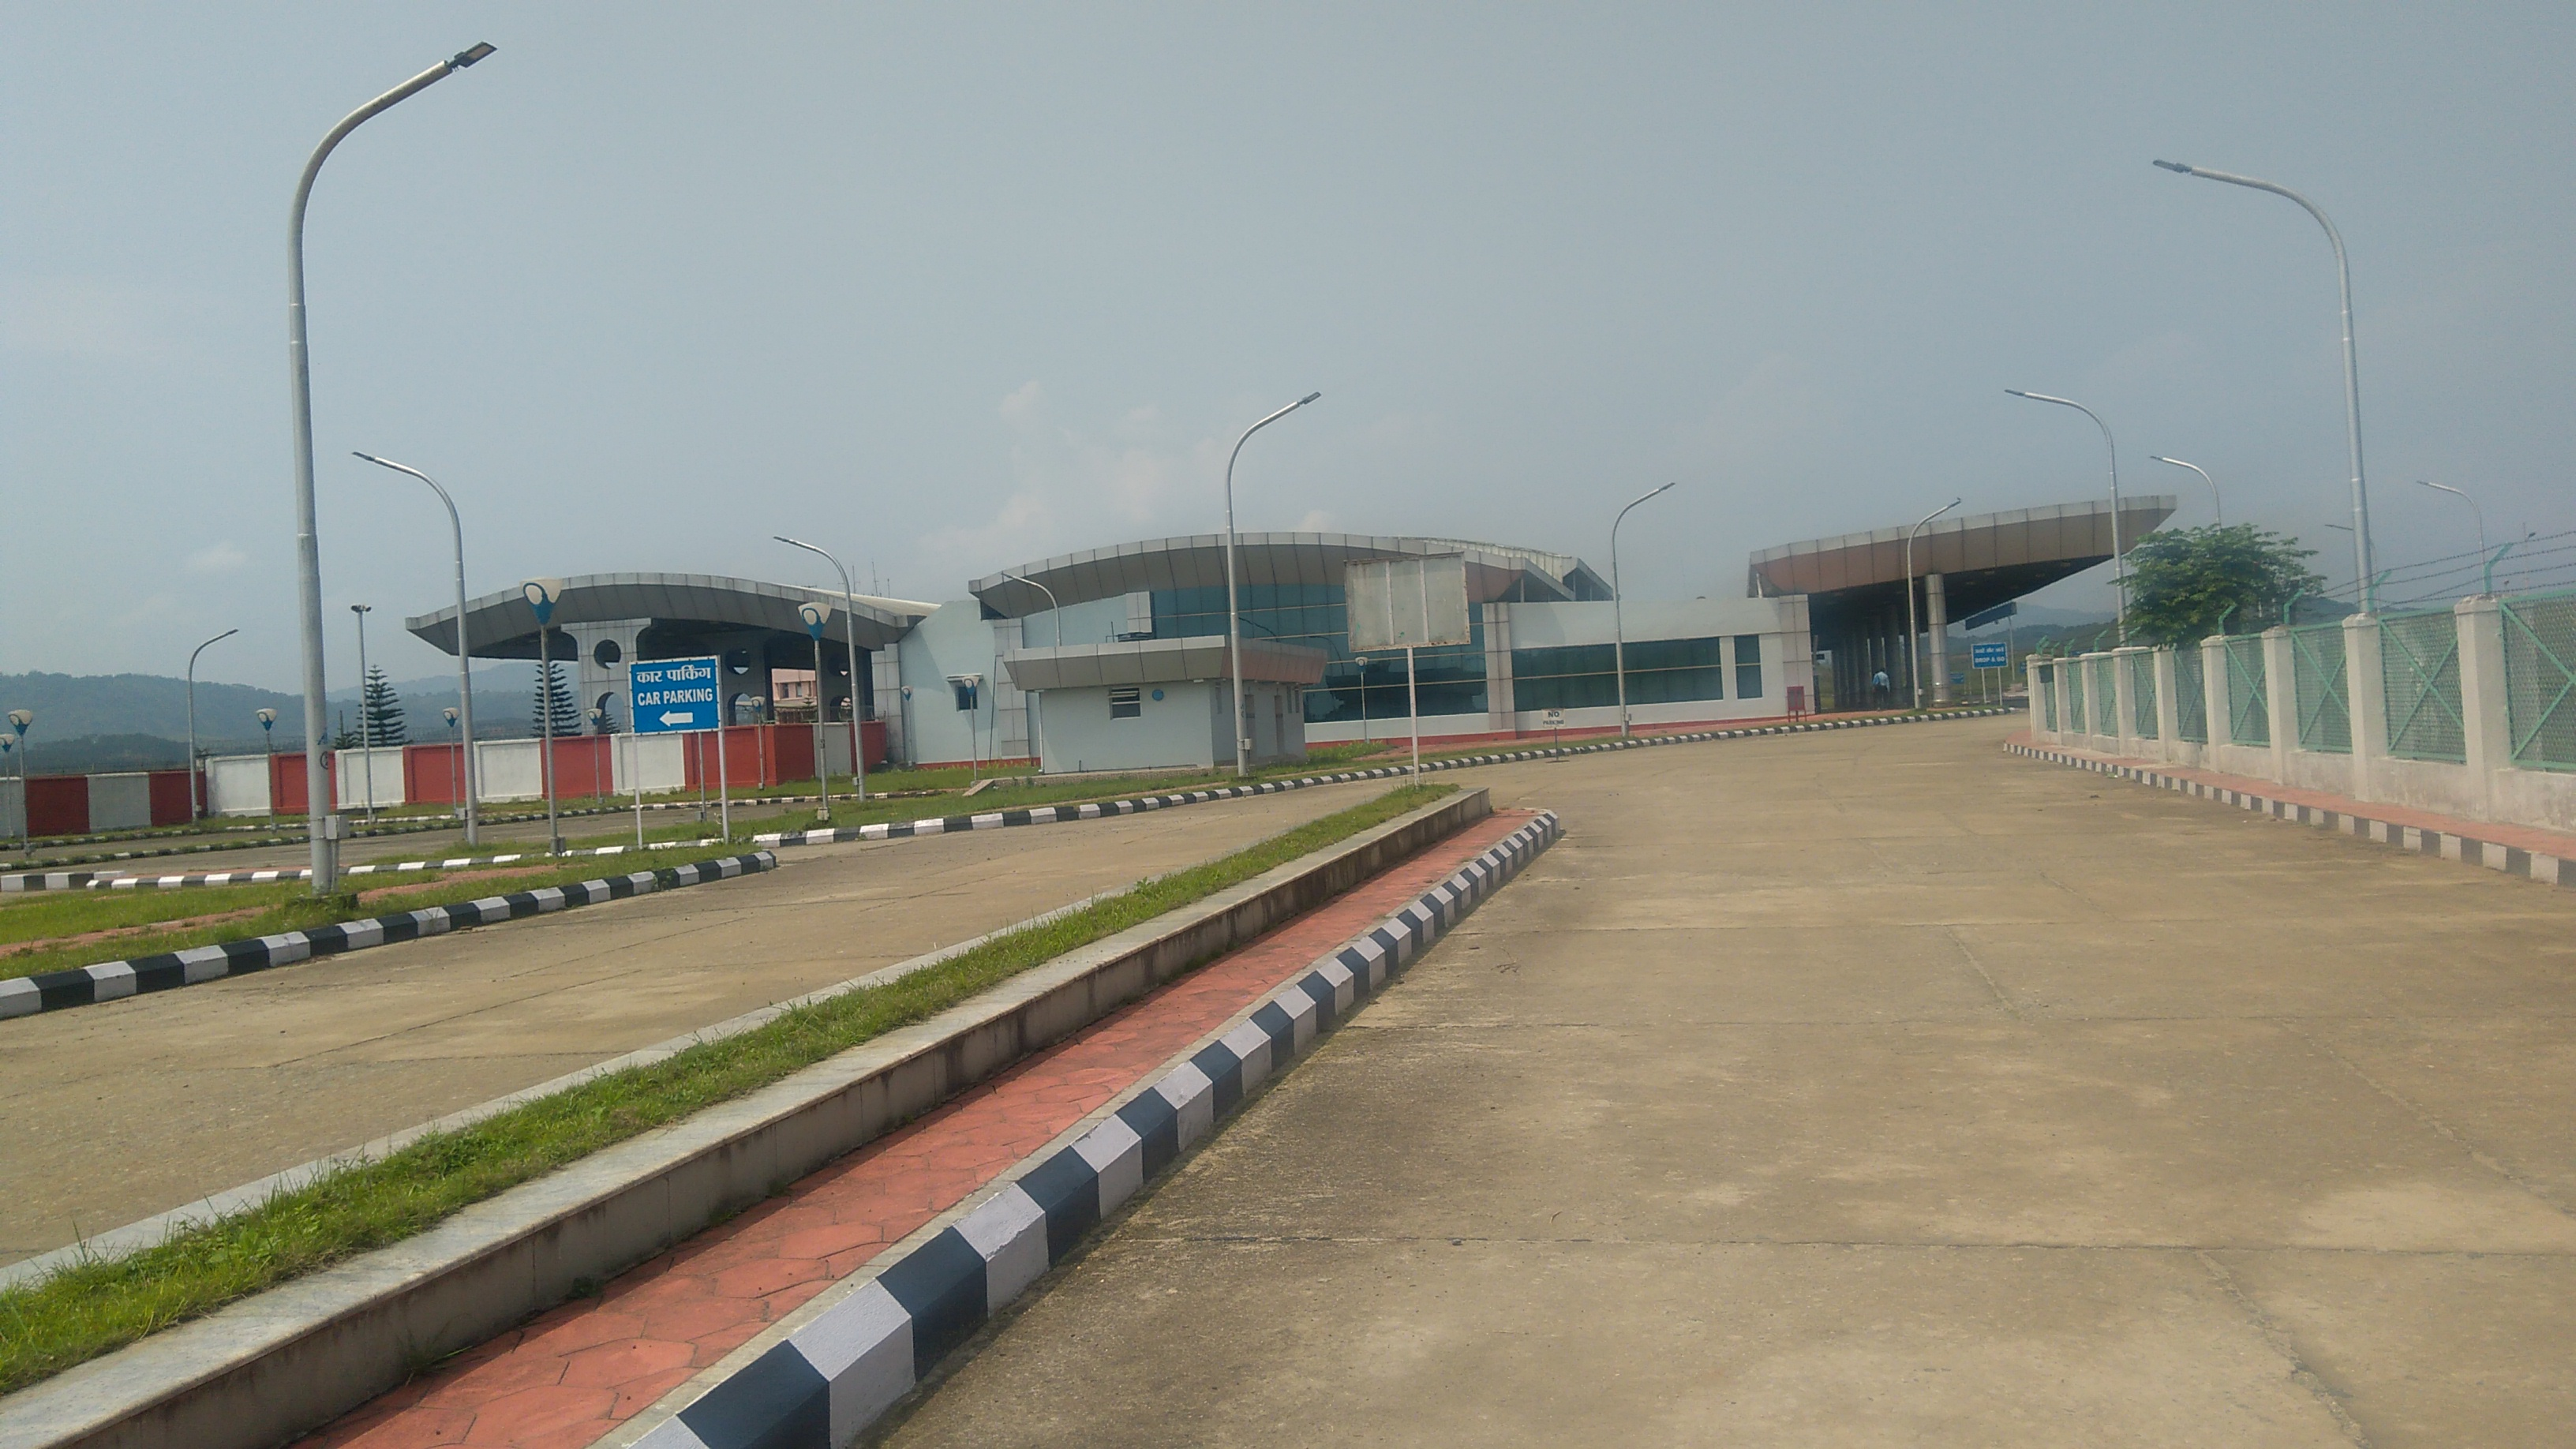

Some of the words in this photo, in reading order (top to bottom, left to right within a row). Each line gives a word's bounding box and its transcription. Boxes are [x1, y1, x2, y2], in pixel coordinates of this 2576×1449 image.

[635, 668, 664, 686] का‍र
[664, 662, 713, 683] पार्किंग
[635, 689, 661, 706] CAR
[658, 686, 716, 706] PARKING